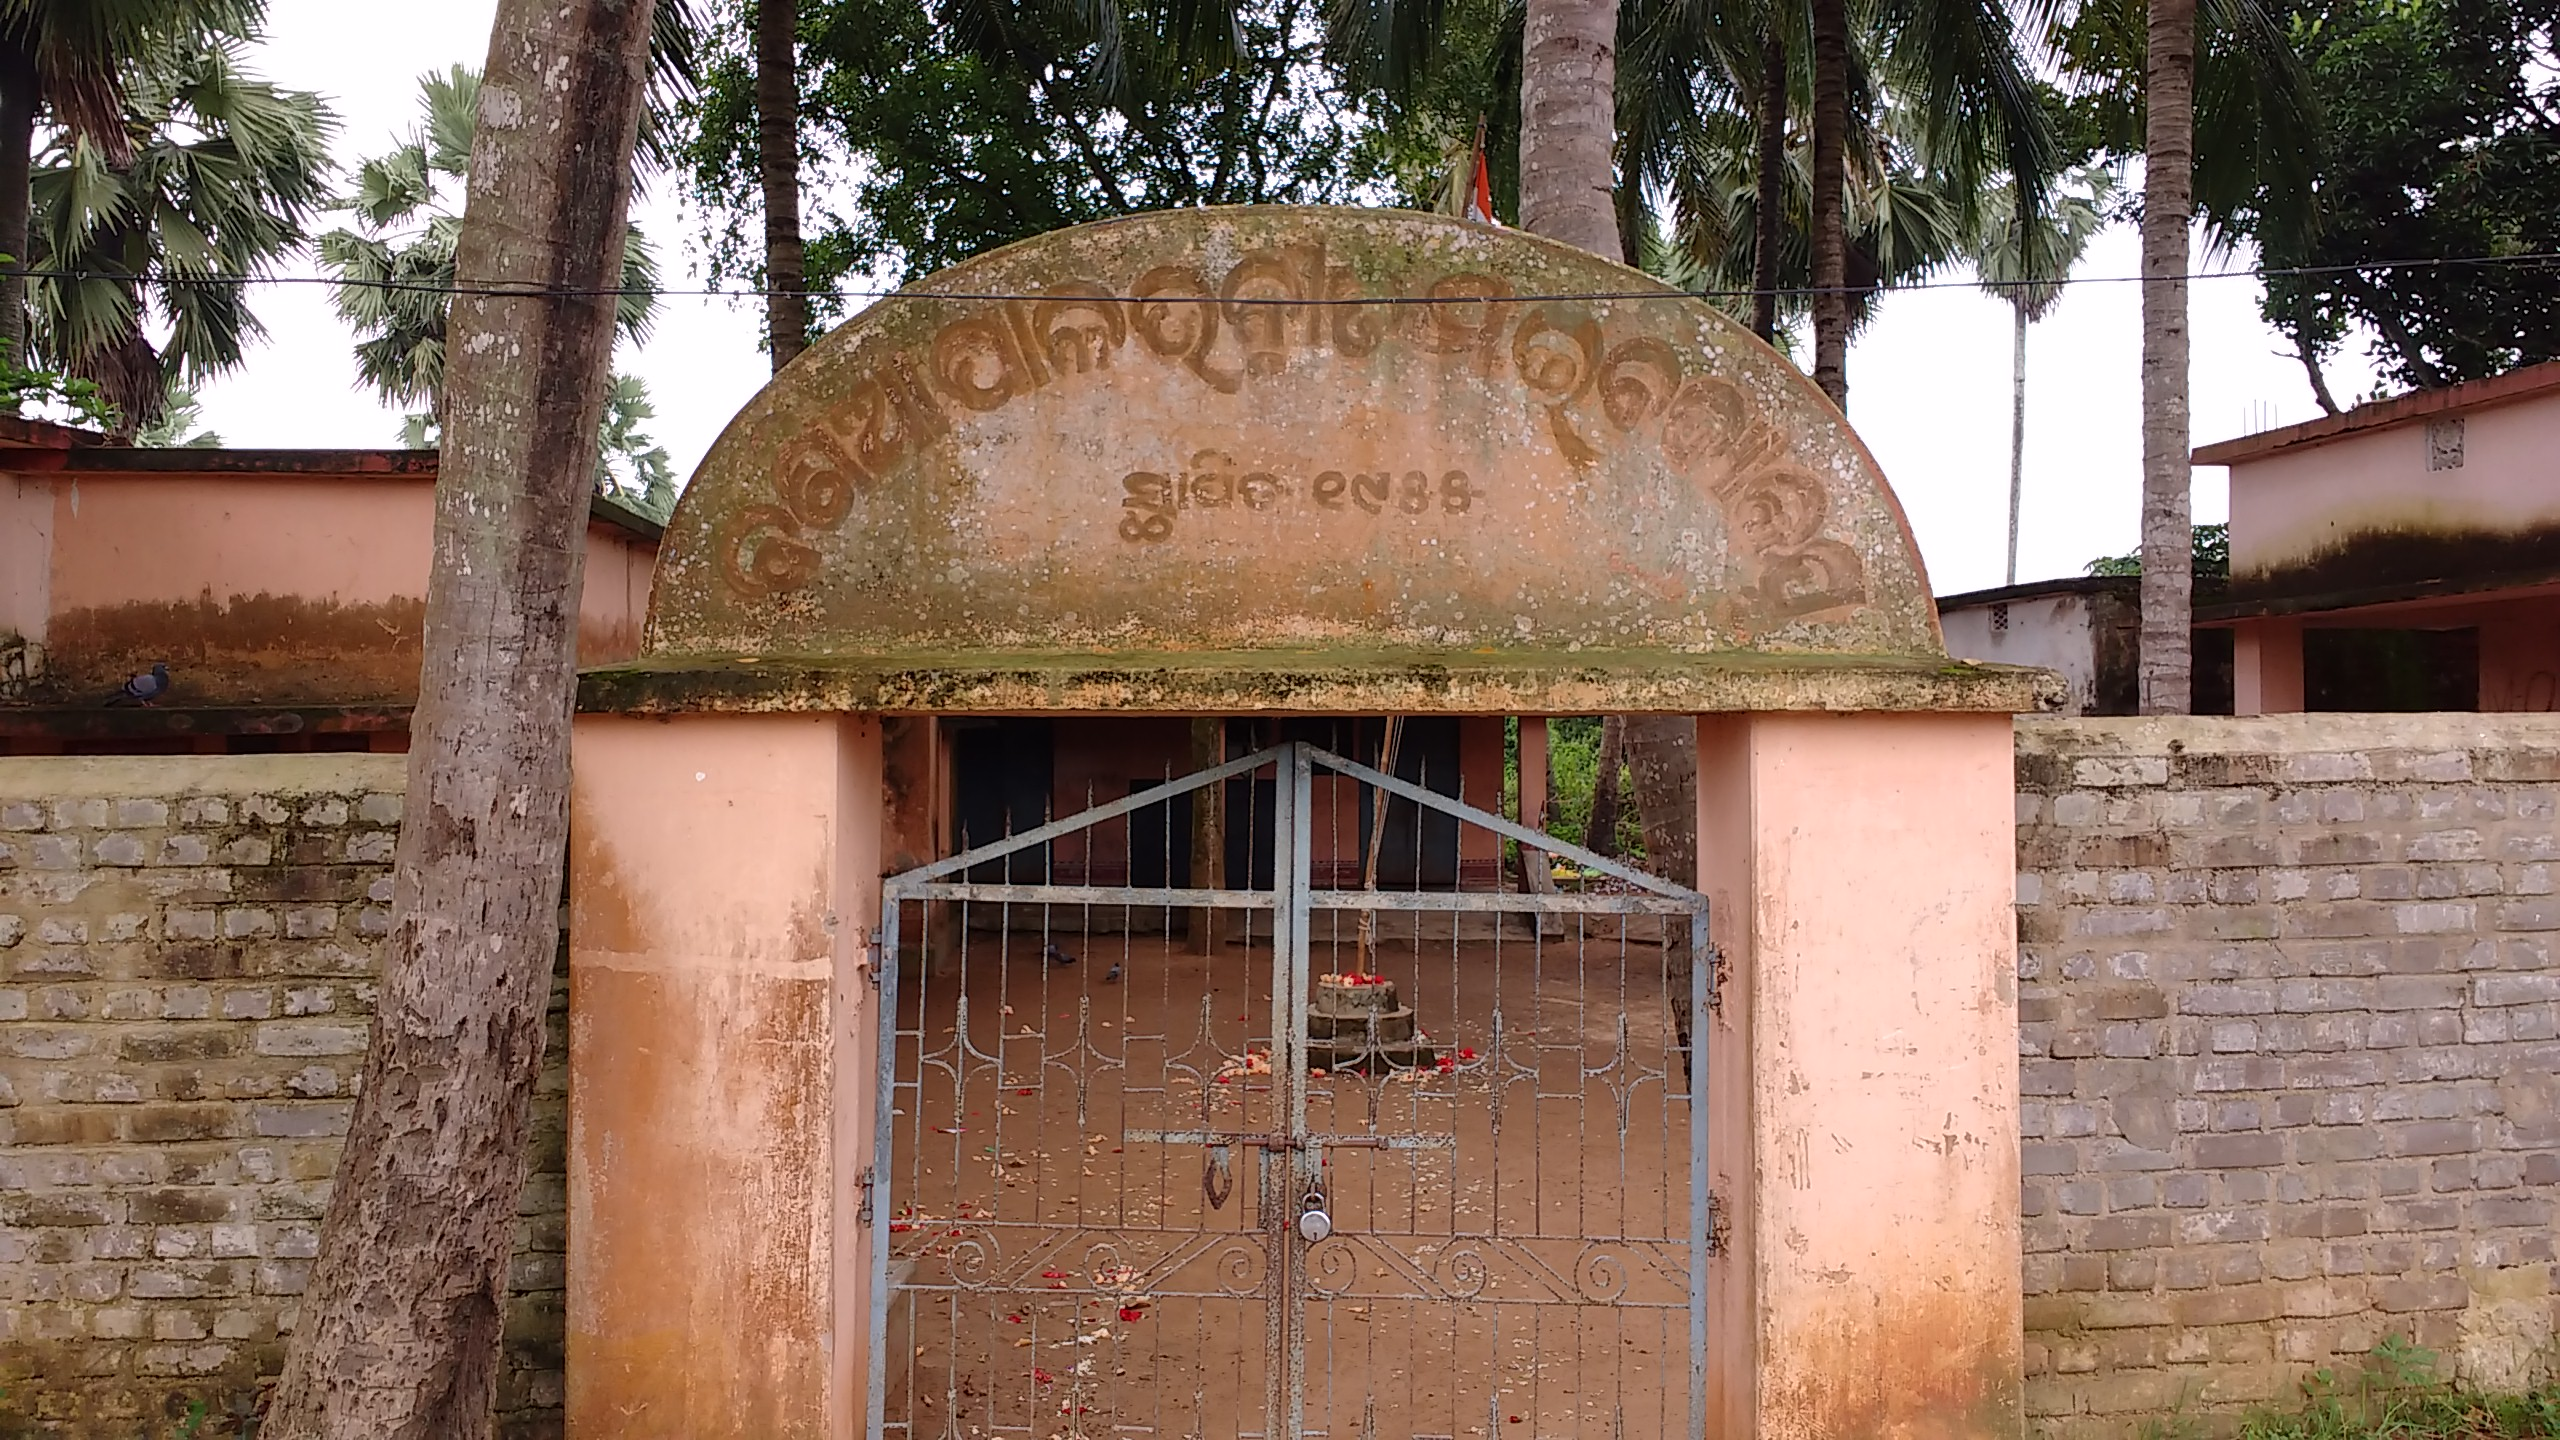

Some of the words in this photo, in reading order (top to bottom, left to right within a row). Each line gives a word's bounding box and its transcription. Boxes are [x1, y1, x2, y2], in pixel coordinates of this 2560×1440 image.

[1112, 430, 1303, 550] ସ୍ଥାପିତ
[1303, 452, 1492, 527] ୧୯୫୫